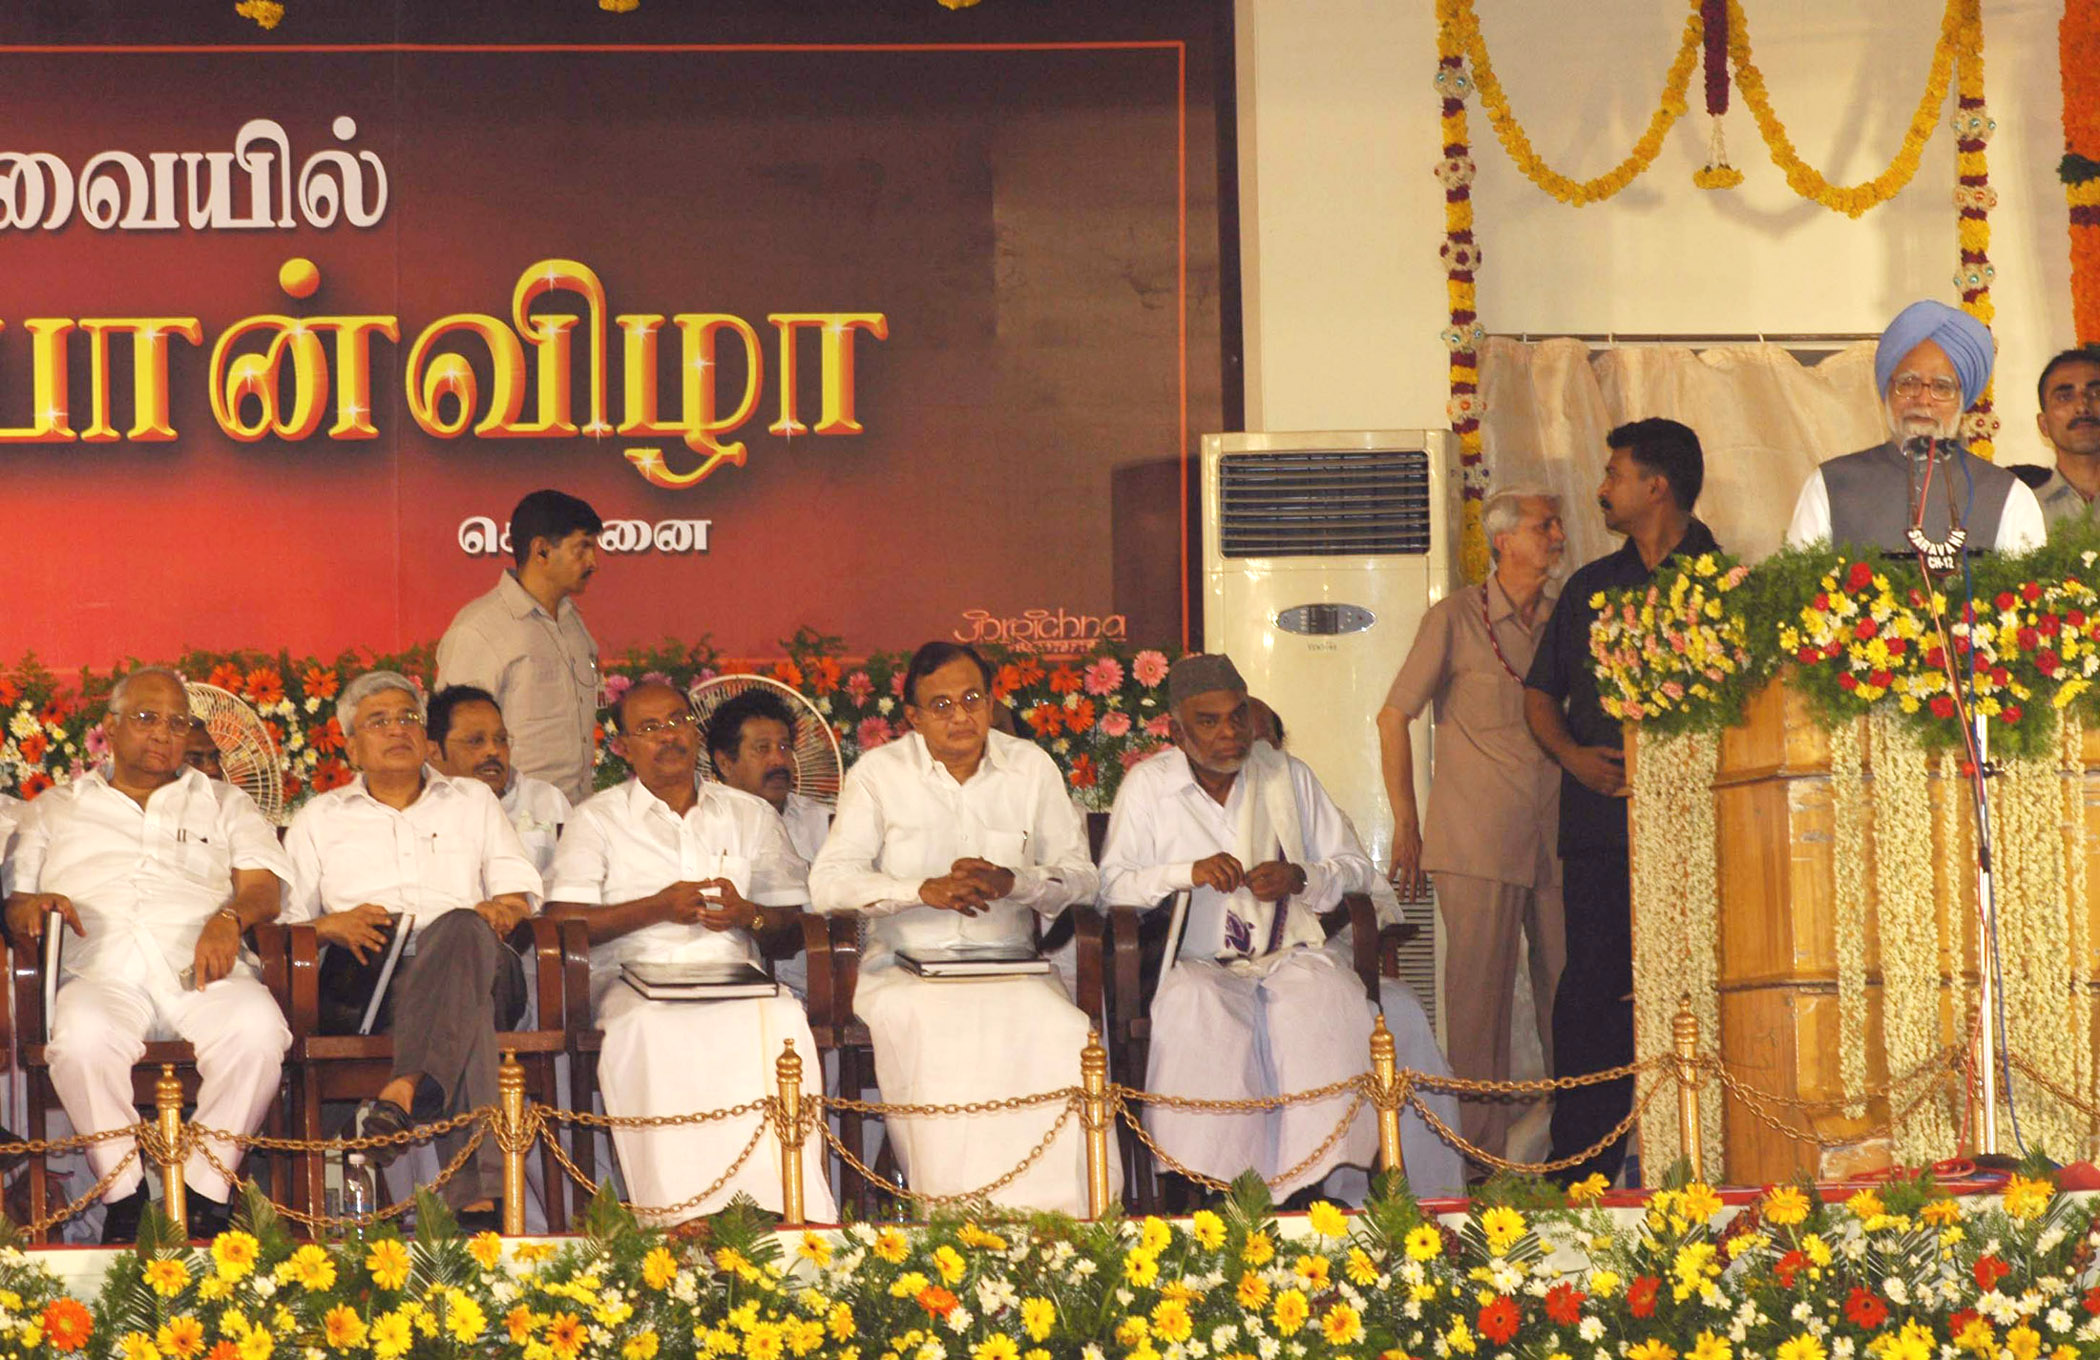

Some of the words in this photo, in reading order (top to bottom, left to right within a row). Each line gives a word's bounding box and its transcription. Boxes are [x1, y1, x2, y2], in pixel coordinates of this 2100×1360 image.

[0, 109, 391, 237] வையில்
[5, 247, 897, 499] பான்விழா
[588, 511, 717, 559] னை
[947, 603, 1129, 650] jprpichna